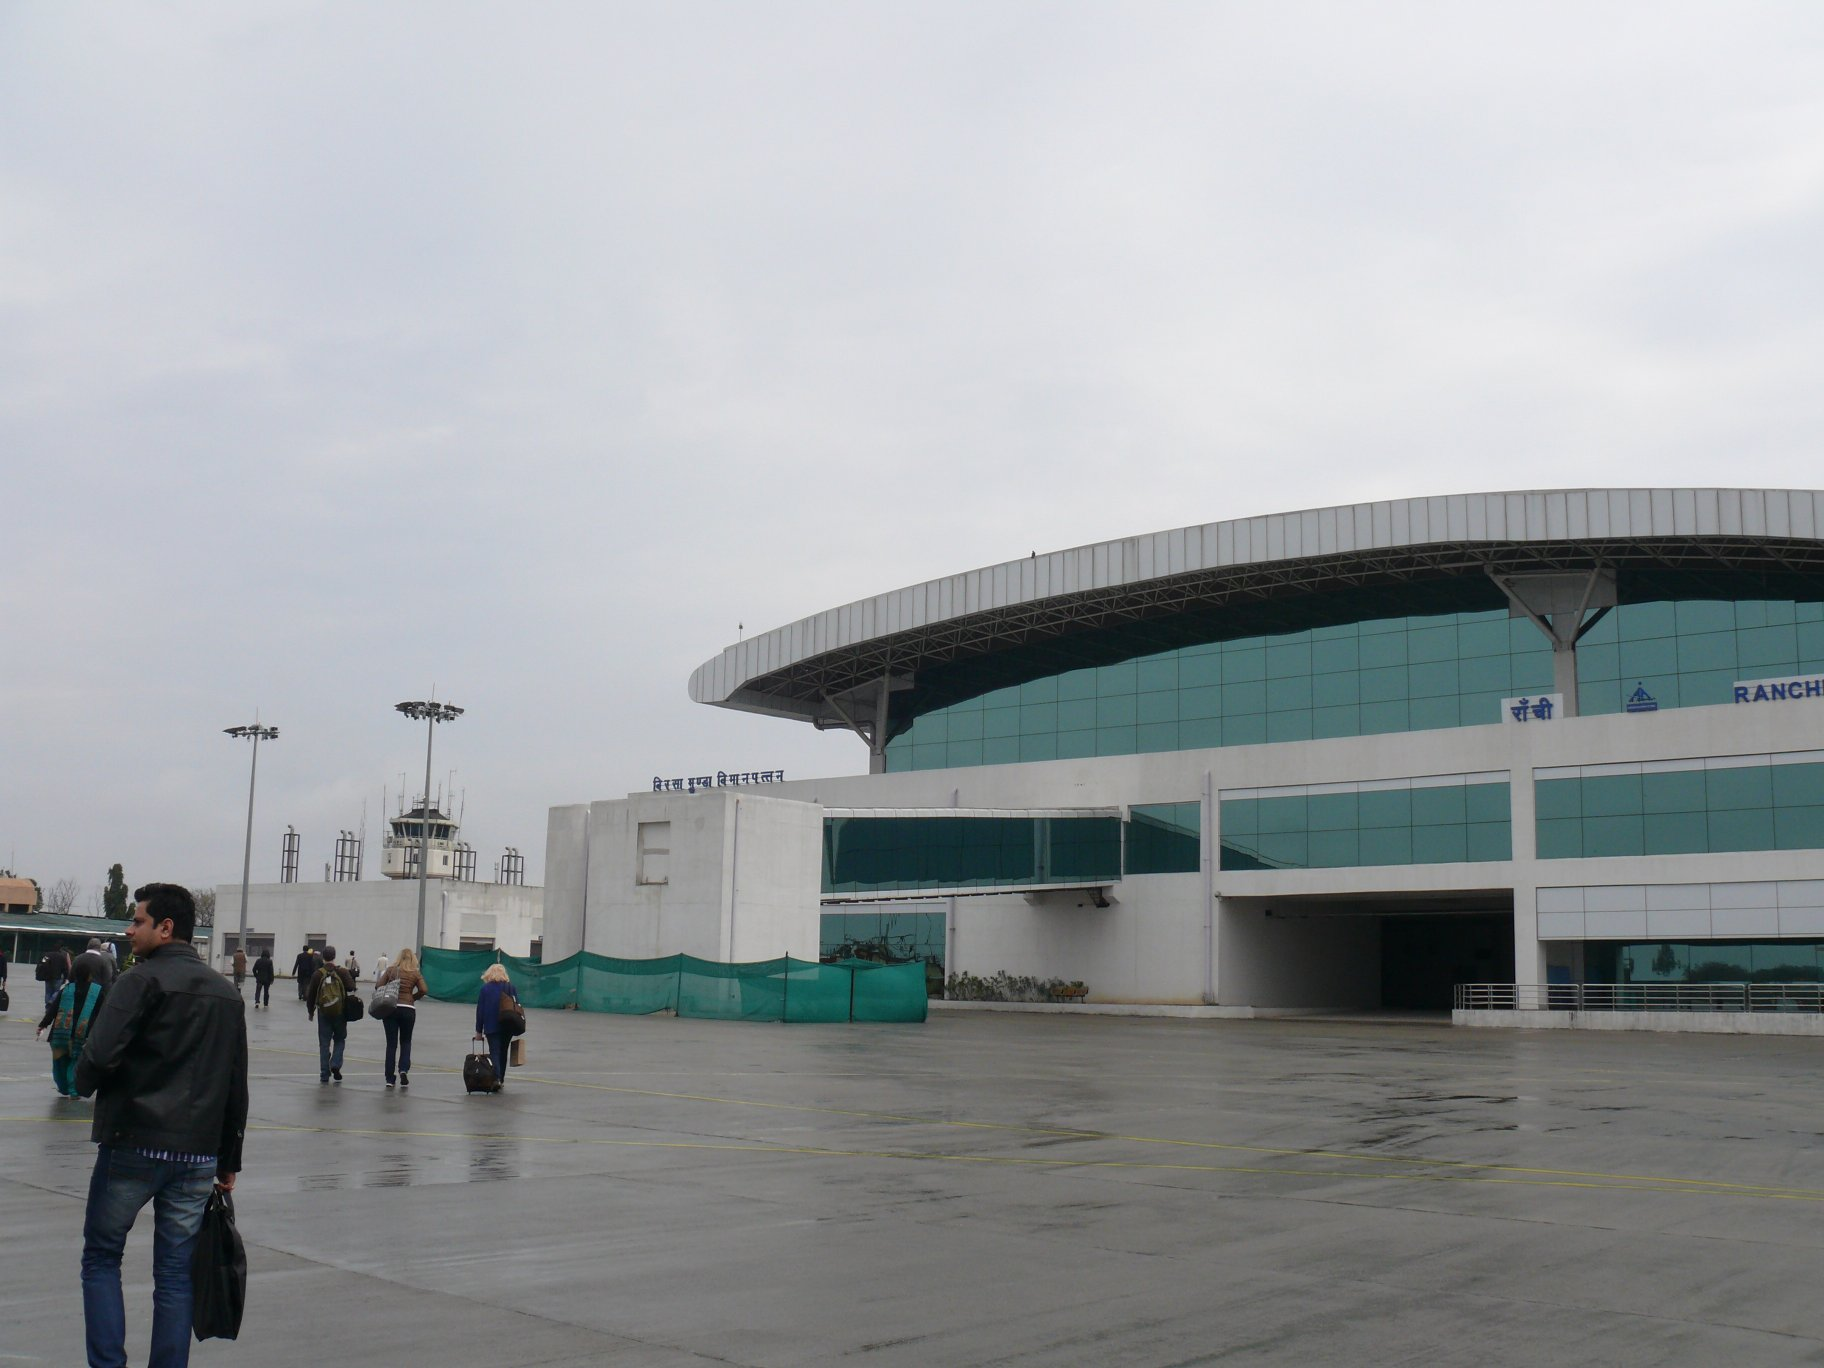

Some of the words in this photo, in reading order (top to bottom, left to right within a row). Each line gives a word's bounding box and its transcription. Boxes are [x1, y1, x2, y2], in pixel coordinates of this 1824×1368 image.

[1733, 677, 1822, 707] RANCH
[1508, 693, 1554, 723] राँची
[649, 773, 685, 795] बिरसा
[686, 772, 713, 796] मुण्डा
[713, 765, 788, 789] विमानपत्तन